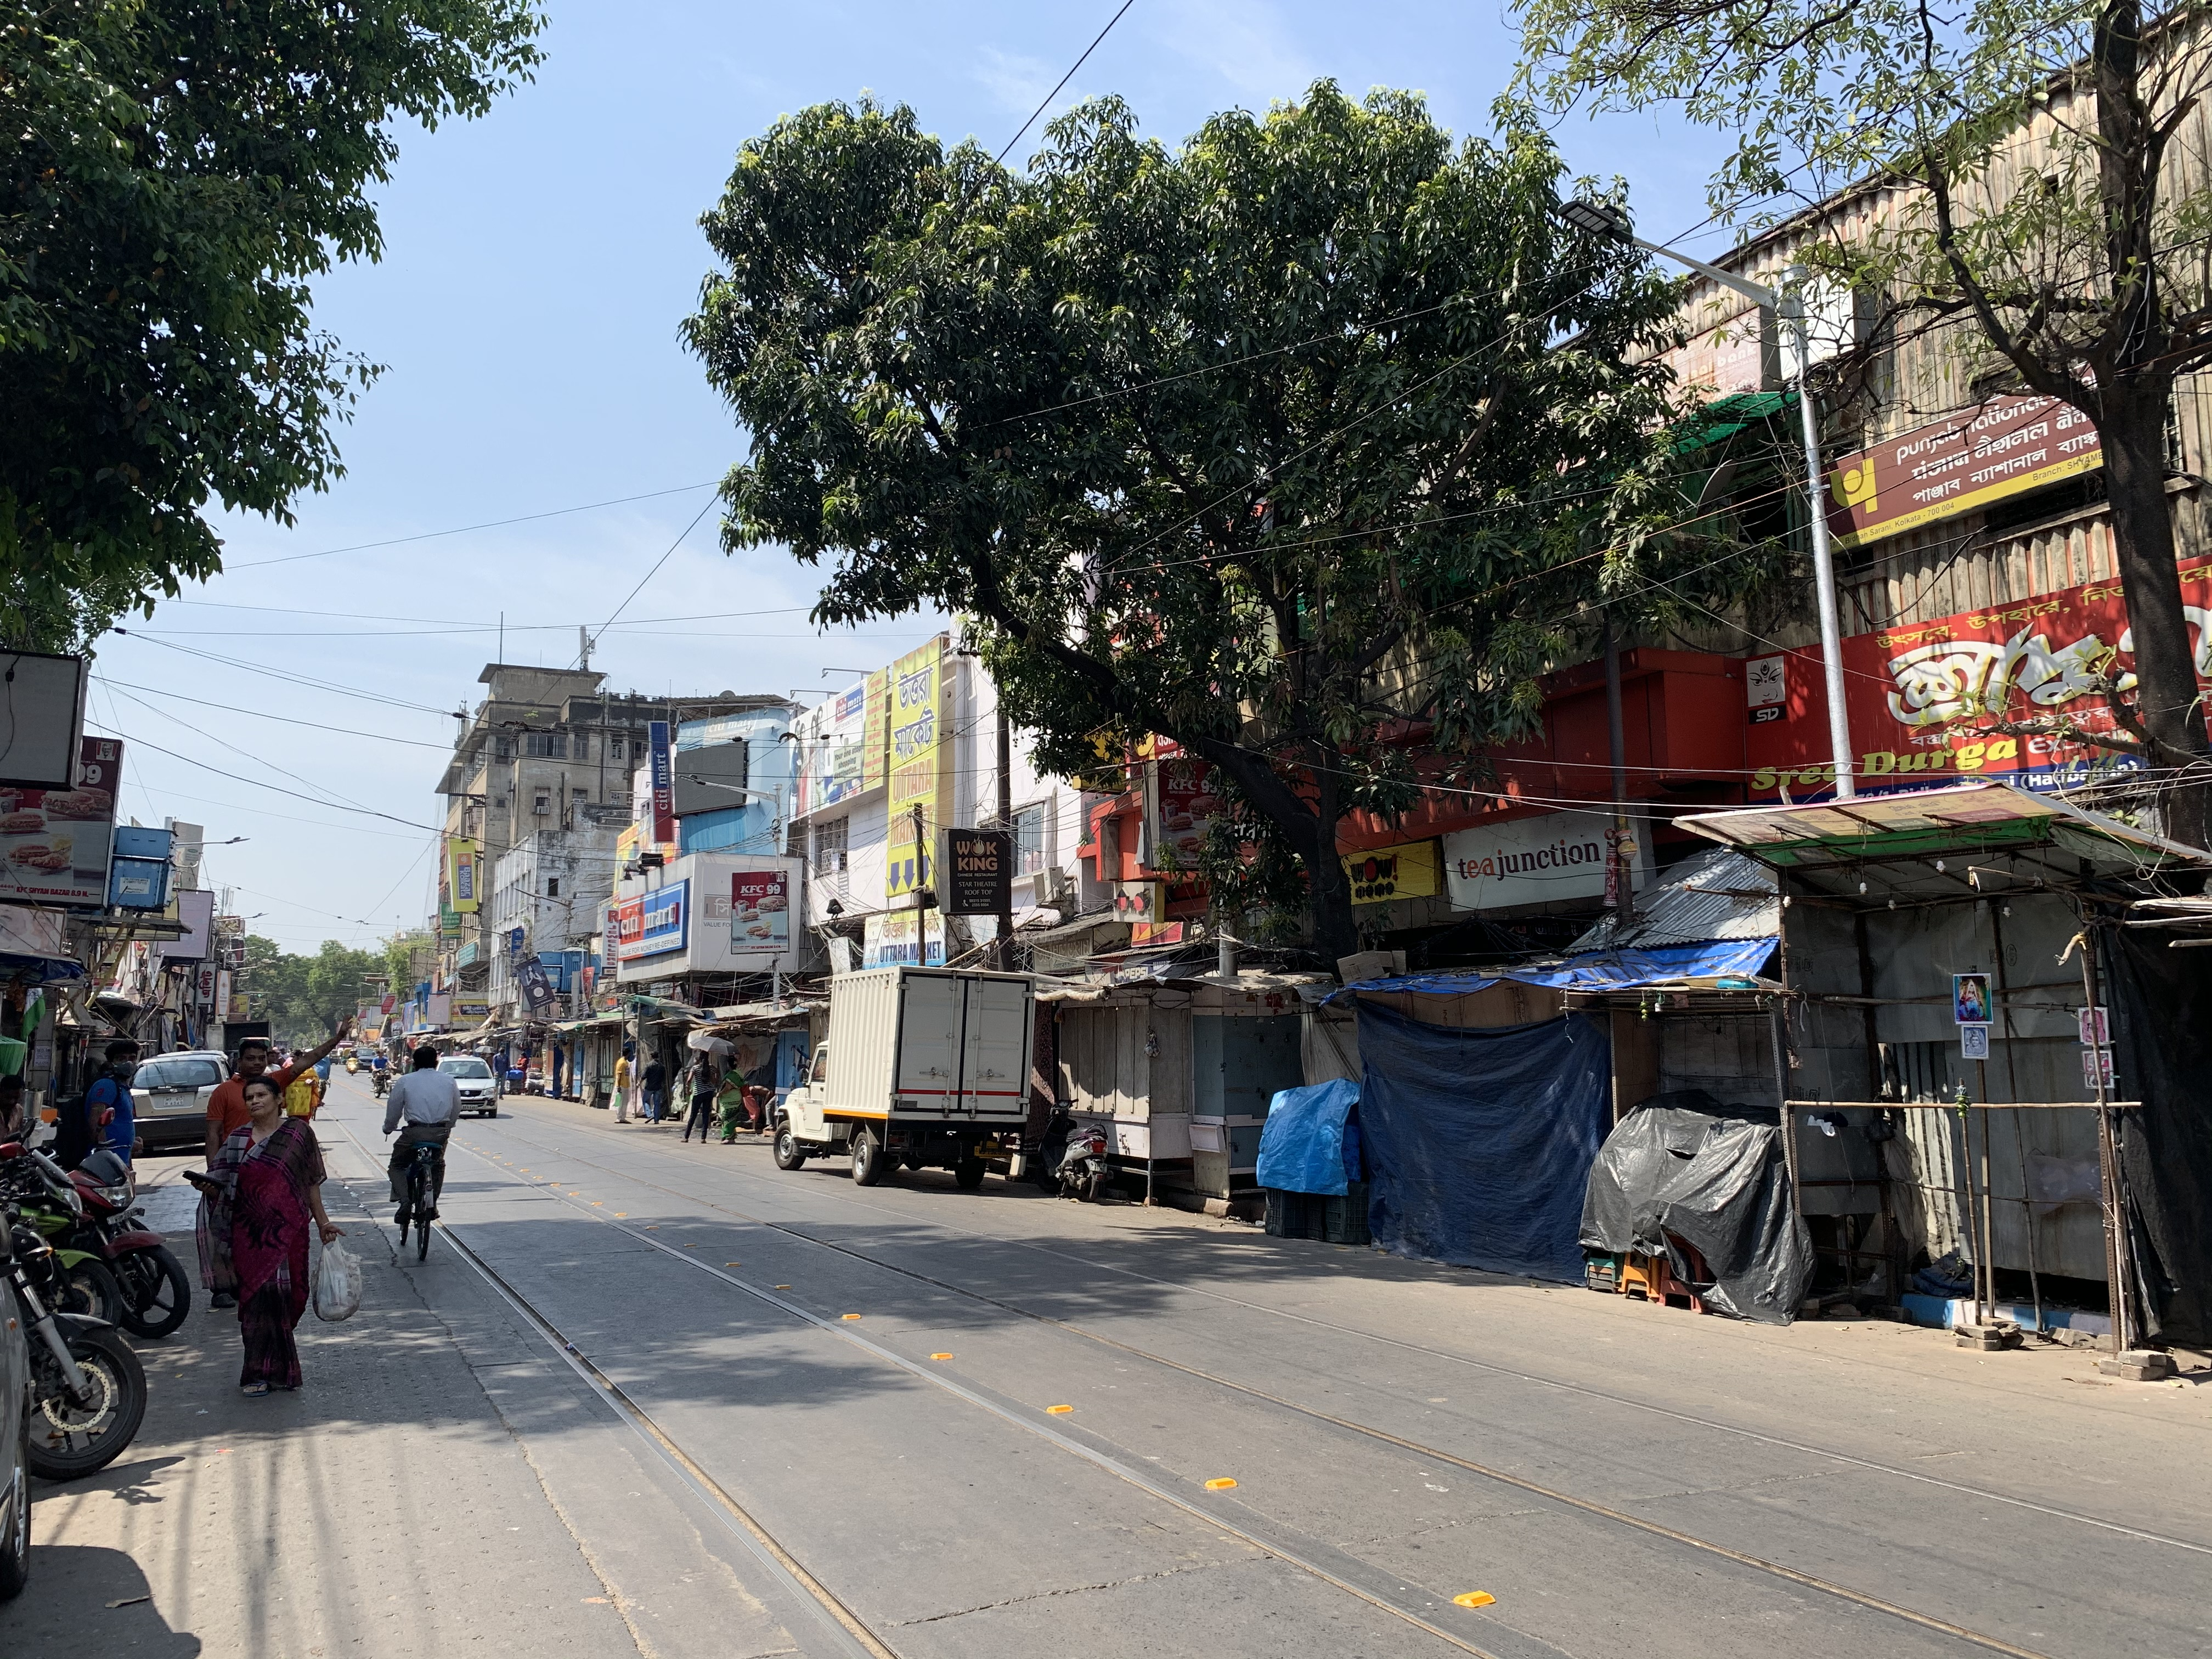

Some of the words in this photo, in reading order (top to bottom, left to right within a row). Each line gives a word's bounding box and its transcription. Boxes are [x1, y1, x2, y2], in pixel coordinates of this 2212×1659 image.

[1958, 389, 2051, 442] national
[1893, 412, 1968, 470] punjob
[1968, 417, 2053, 464] नैशनल
[2053, 427, 2102, 455] ব্যাঙ্ক
[1905, 448, 1974, 487] पंजाब
[1968, 445, 2052, 487] ন্যাশানাল
[2029, 464, 2067, 483] Branch:
[2064, 449, 2107, 475] SHYAME
[1910, 474, 1966, 507] পাঞ্জার
[1841, 526, 1871, 549] Bidhan
[1866, 520, 1895, 539] Sarani,
[1889, 511, 1925, 529] Kolkata
[1920, 499, 1959, 521] -700004
[2075, 577, 2124, 611] নিত
[1960, 595, 2072, 633] উপহারে,
[1869, 619, 1956, 652] উৎসবে,
[894, 664, 935, 712] উত্তরা
[832, 691, 865, 720] citimart
[889, 702, 939, 763] মার্কেট
[653, 750, 673, 787] mart
[889, 753, 936, 807] UTTARA
[1856, 736, 2024, 784] Durga
[650, 786, 672, 813] citi
[955, 835, 999, 857] WOK
[26, 883, 50, 898] SHYAM
[46, 884, 73, 897] BAZAR
[69, 886, 91, 901] 8.9N.
[738, 881, 782, 897] KFC99
[953, 878, 975, 891] STAR
[962, 886, 981, 898] ROOF
[956, 850, 1001, 874] KING
[972, 875, 1000, 890] THEATRE
[977, 885, 995, 899] TOP
[1347, 853, 1402, 886] WOW!
[1455, 848, 1497, 882] tea
[1492, 837, 1605, 886] junction
[616, 944, 635, 962] VALUE
[616, 904, 646, 939] citi
[628, 945, 642, 956] EFOR
[635, 941, 656, 957] MONEY
[641, 900, 678, 932] mart
[651, 933, 685, 950] RE-DEFINED
[876, 939, 910, 965] UTTARA
[877, 920, 910, 941] উত্তরা
[907, 910, 943, 940] মার্কট
[906, 936, 944, 961] MARKET